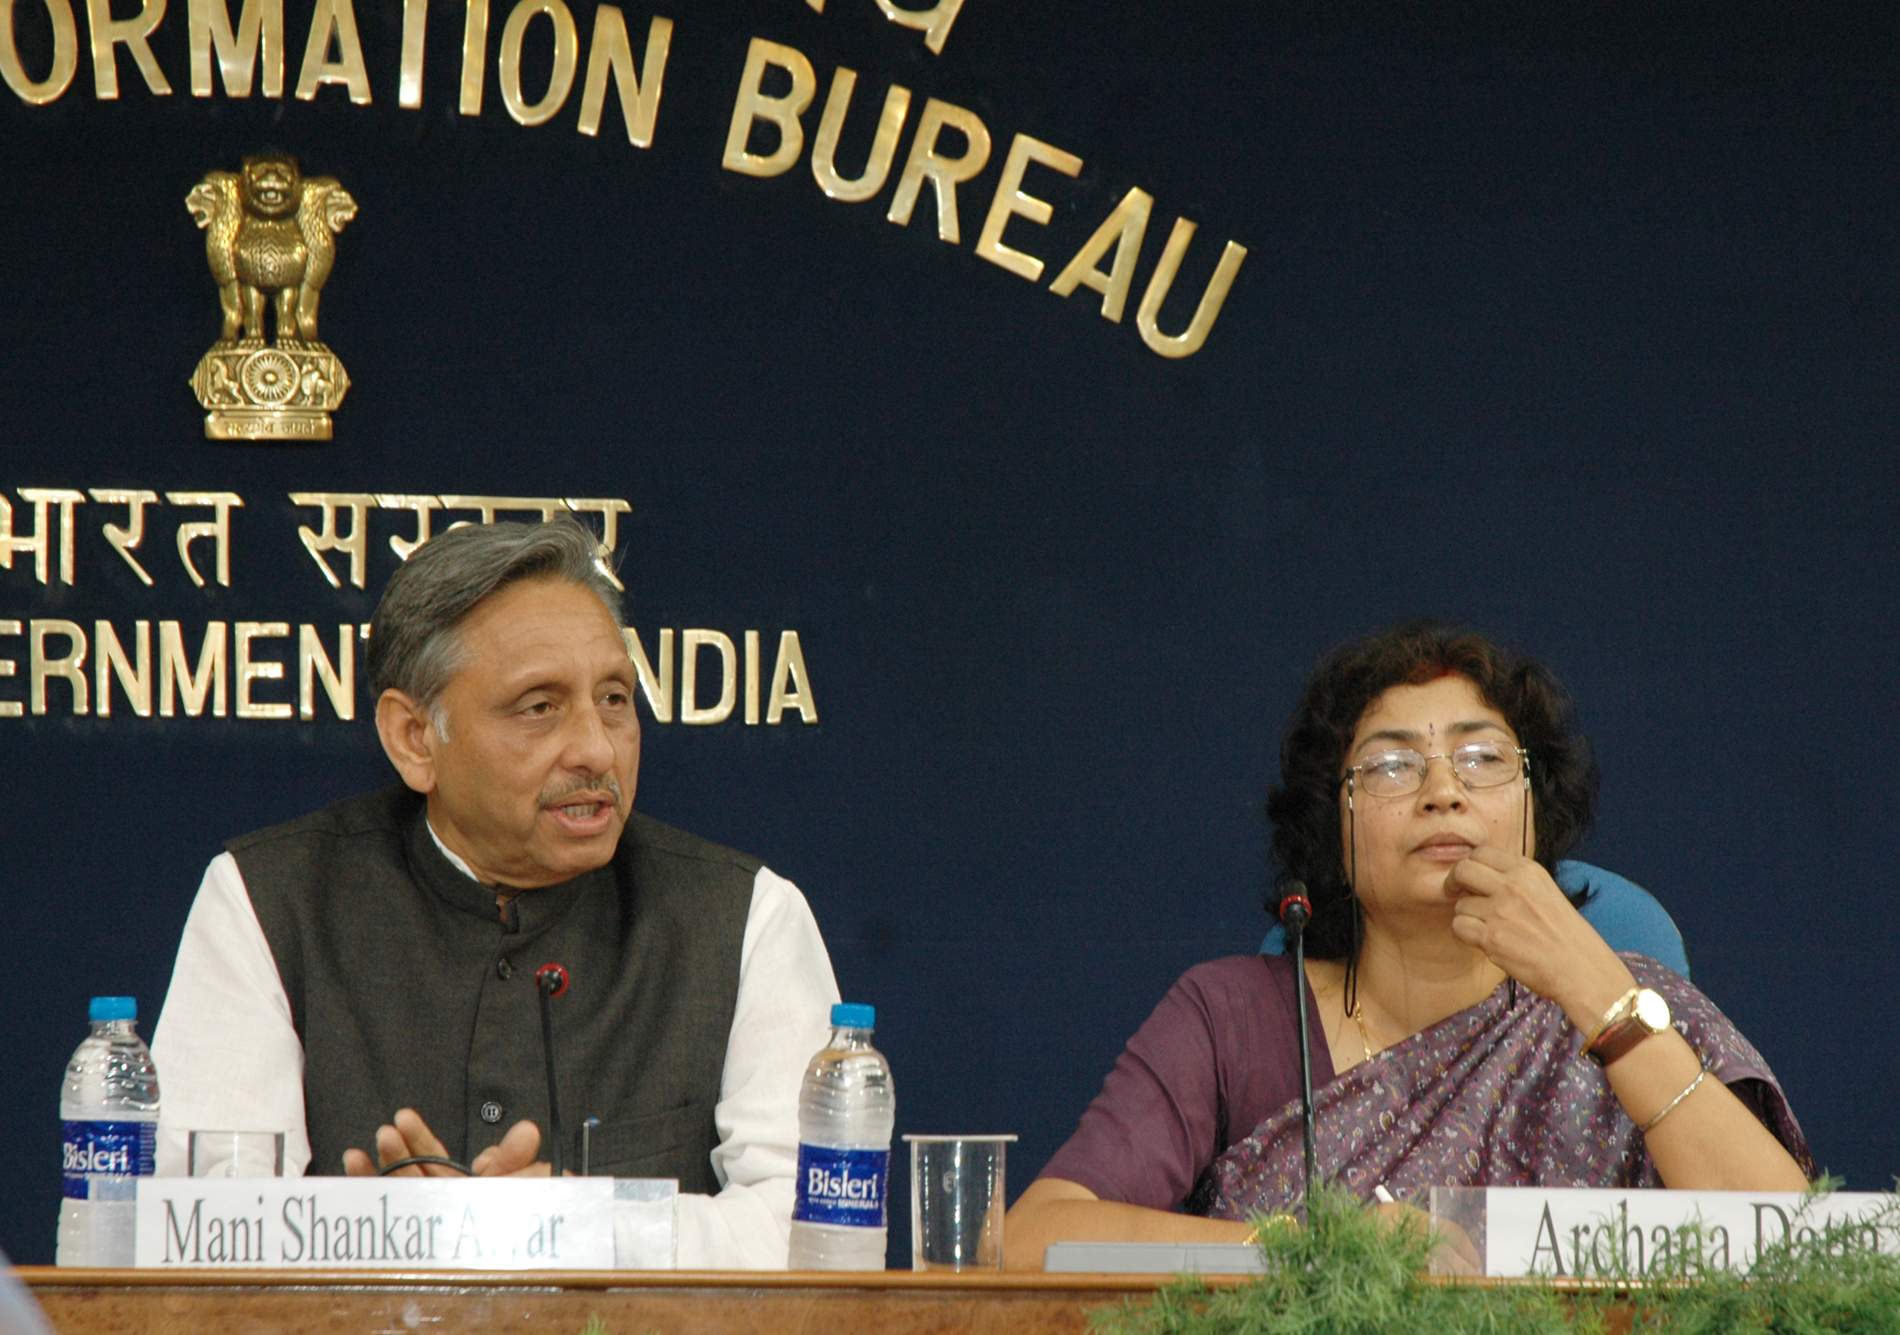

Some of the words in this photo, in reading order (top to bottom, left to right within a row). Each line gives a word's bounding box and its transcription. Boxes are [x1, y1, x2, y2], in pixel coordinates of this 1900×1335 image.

[718, 33, 1251, 369] BUREAU
[0, 479, 243, 591] मारत
[10, 609, 368, 727] RNMEN
[620, 625, 825, 730] INDIA
[802, 1160, 889, 1205] Bisleri
[159, 1192, 269, 1266] Mani
[273, 1190, 446, 1268] Shankar
[523, 1212, 569, 1265] ar
[1519, 1198, 1734, 1284] Archana
[1751, 1202, 1884, 1289] Datto